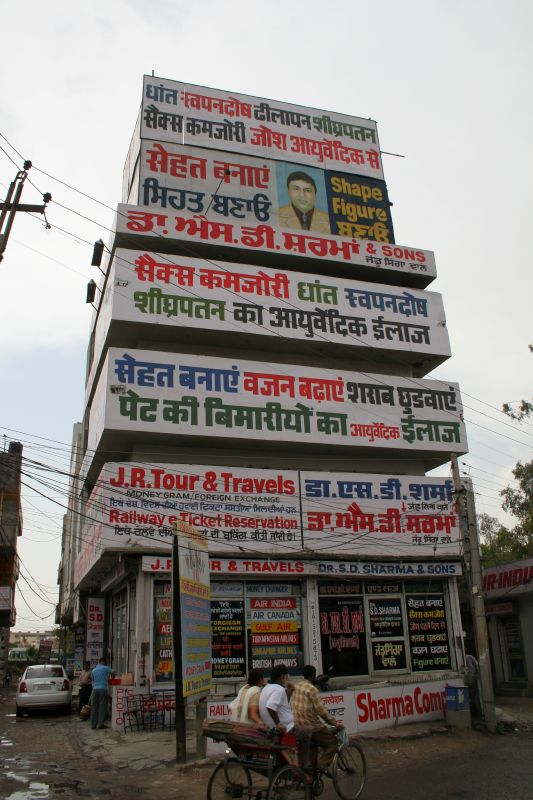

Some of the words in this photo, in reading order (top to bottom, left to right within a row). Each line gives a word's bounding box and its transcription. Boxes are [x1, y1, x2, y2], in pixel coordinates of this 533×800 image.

[121, 205, 173, 237] ਡਾ
[143, 79, 181, 108] धांत
[142, 101, 186, 136] सैंक्स
[140, 173, 210, 215] ਸਿਹਤ
[142, 137, 211, 185] सेहत
[170, 208, 241, 247] ਐਸ.
[184, 112, 247, 147] कमजोरी
[179, 84, 253, 121] स्वपनदोष
[208, 189, 275, 225] ਬਣਾੳ
[210, 152, 275, 193] बनाएं
[239, 220, 281, 251] ਡੀ.
[247, 122, 290, 157] जोश
[253, 99, 312, 133] ढीलापन
[279, 227, 363, 263] ਸ਼ਰਮਾਂ
[287, 131, 369, 173] आयुवੋदिक
[312, 113, 379, 147] शीघ्रपतन
[325, 170, 387, 205] Shape
[329, 194, 392, 225] Figure
[331, 217, 397, 245] ਬਣਾਓ
[364, 241, 379, 256] &
[365, 147, 382, 173] से
[379, 241, 428, 263] SONS
[130, 251, 199, 291] सैक्स
[125, 285, 230, 326] शीघ्रपतन
[195, 263, 295, 303] कमजोरी
[229, 297, 268, 331] का
[267, 303, 369, 343] आयुवेदिक
[295, 277, 343, 307] धांत
[342, 283, 433, 321] स्वपनदोष
[369, 313, 438, 352] ईलाज
[113, 387, 161, 427] पेट
[109, 351, 177, 393] सेहत
[159, 394, 201, 429] क‍ी
[176, 357, 241, 397] बनाएं
[201, 393, 314, 438] बिमारीयों
[240, 365, 297, 401] वजन
[297, 371, 345, 407] बढ़ाएं
[314, 408, 355, 441] का
[344, 375, 398, 411] शराब
[348, 418, 403, 445] आयुर्वॆदिक
[395, 383, 461, 417] छुडवाएं
[397, 414, 467, 448] ईलाज
[106, 463, 150, 488] J.R.
[149, 465, 201, 492] Tour
[200, 467, 220, 494] &
[219, 469, 298, 497] Travels
[301, 477, 334, 501] डा.
[335, 477, 381, 503] एस.
[379, 475, 411, 504] डी.
[407, 477, 457, 501] शर्मा
[107, 507, 167, 529] Railway
[187, 511, 223, 528] icket
[223, 513, 299, 530] Reservation
[303, 509, 335, 537] ਡਾ
[334, 500, 376, 539] ਐਸ
[375, 504, 406, 539] ਡੀ
[405, 509, 459, 536] ਸ਼ਰਮਾਂ
[148, 557, 163, 572] J
[224, 557, 240, 573] &
[239, 560, 309, 575] TRAVELS
[315, 561, 336, 573] DR
[336, 560, 346, 574] S
[347, 559, 359, 574] D
[359, 560, 416, 575] SHARMA
[413, 562, 426, 575] &
[424, 562, 458, 574] SONS
[87, 602, 103, 614] DR.
[87, 612, 105, 623] S.D
[354, 686, 416, 726] Sharma
[411, 679, 443, 719] Com